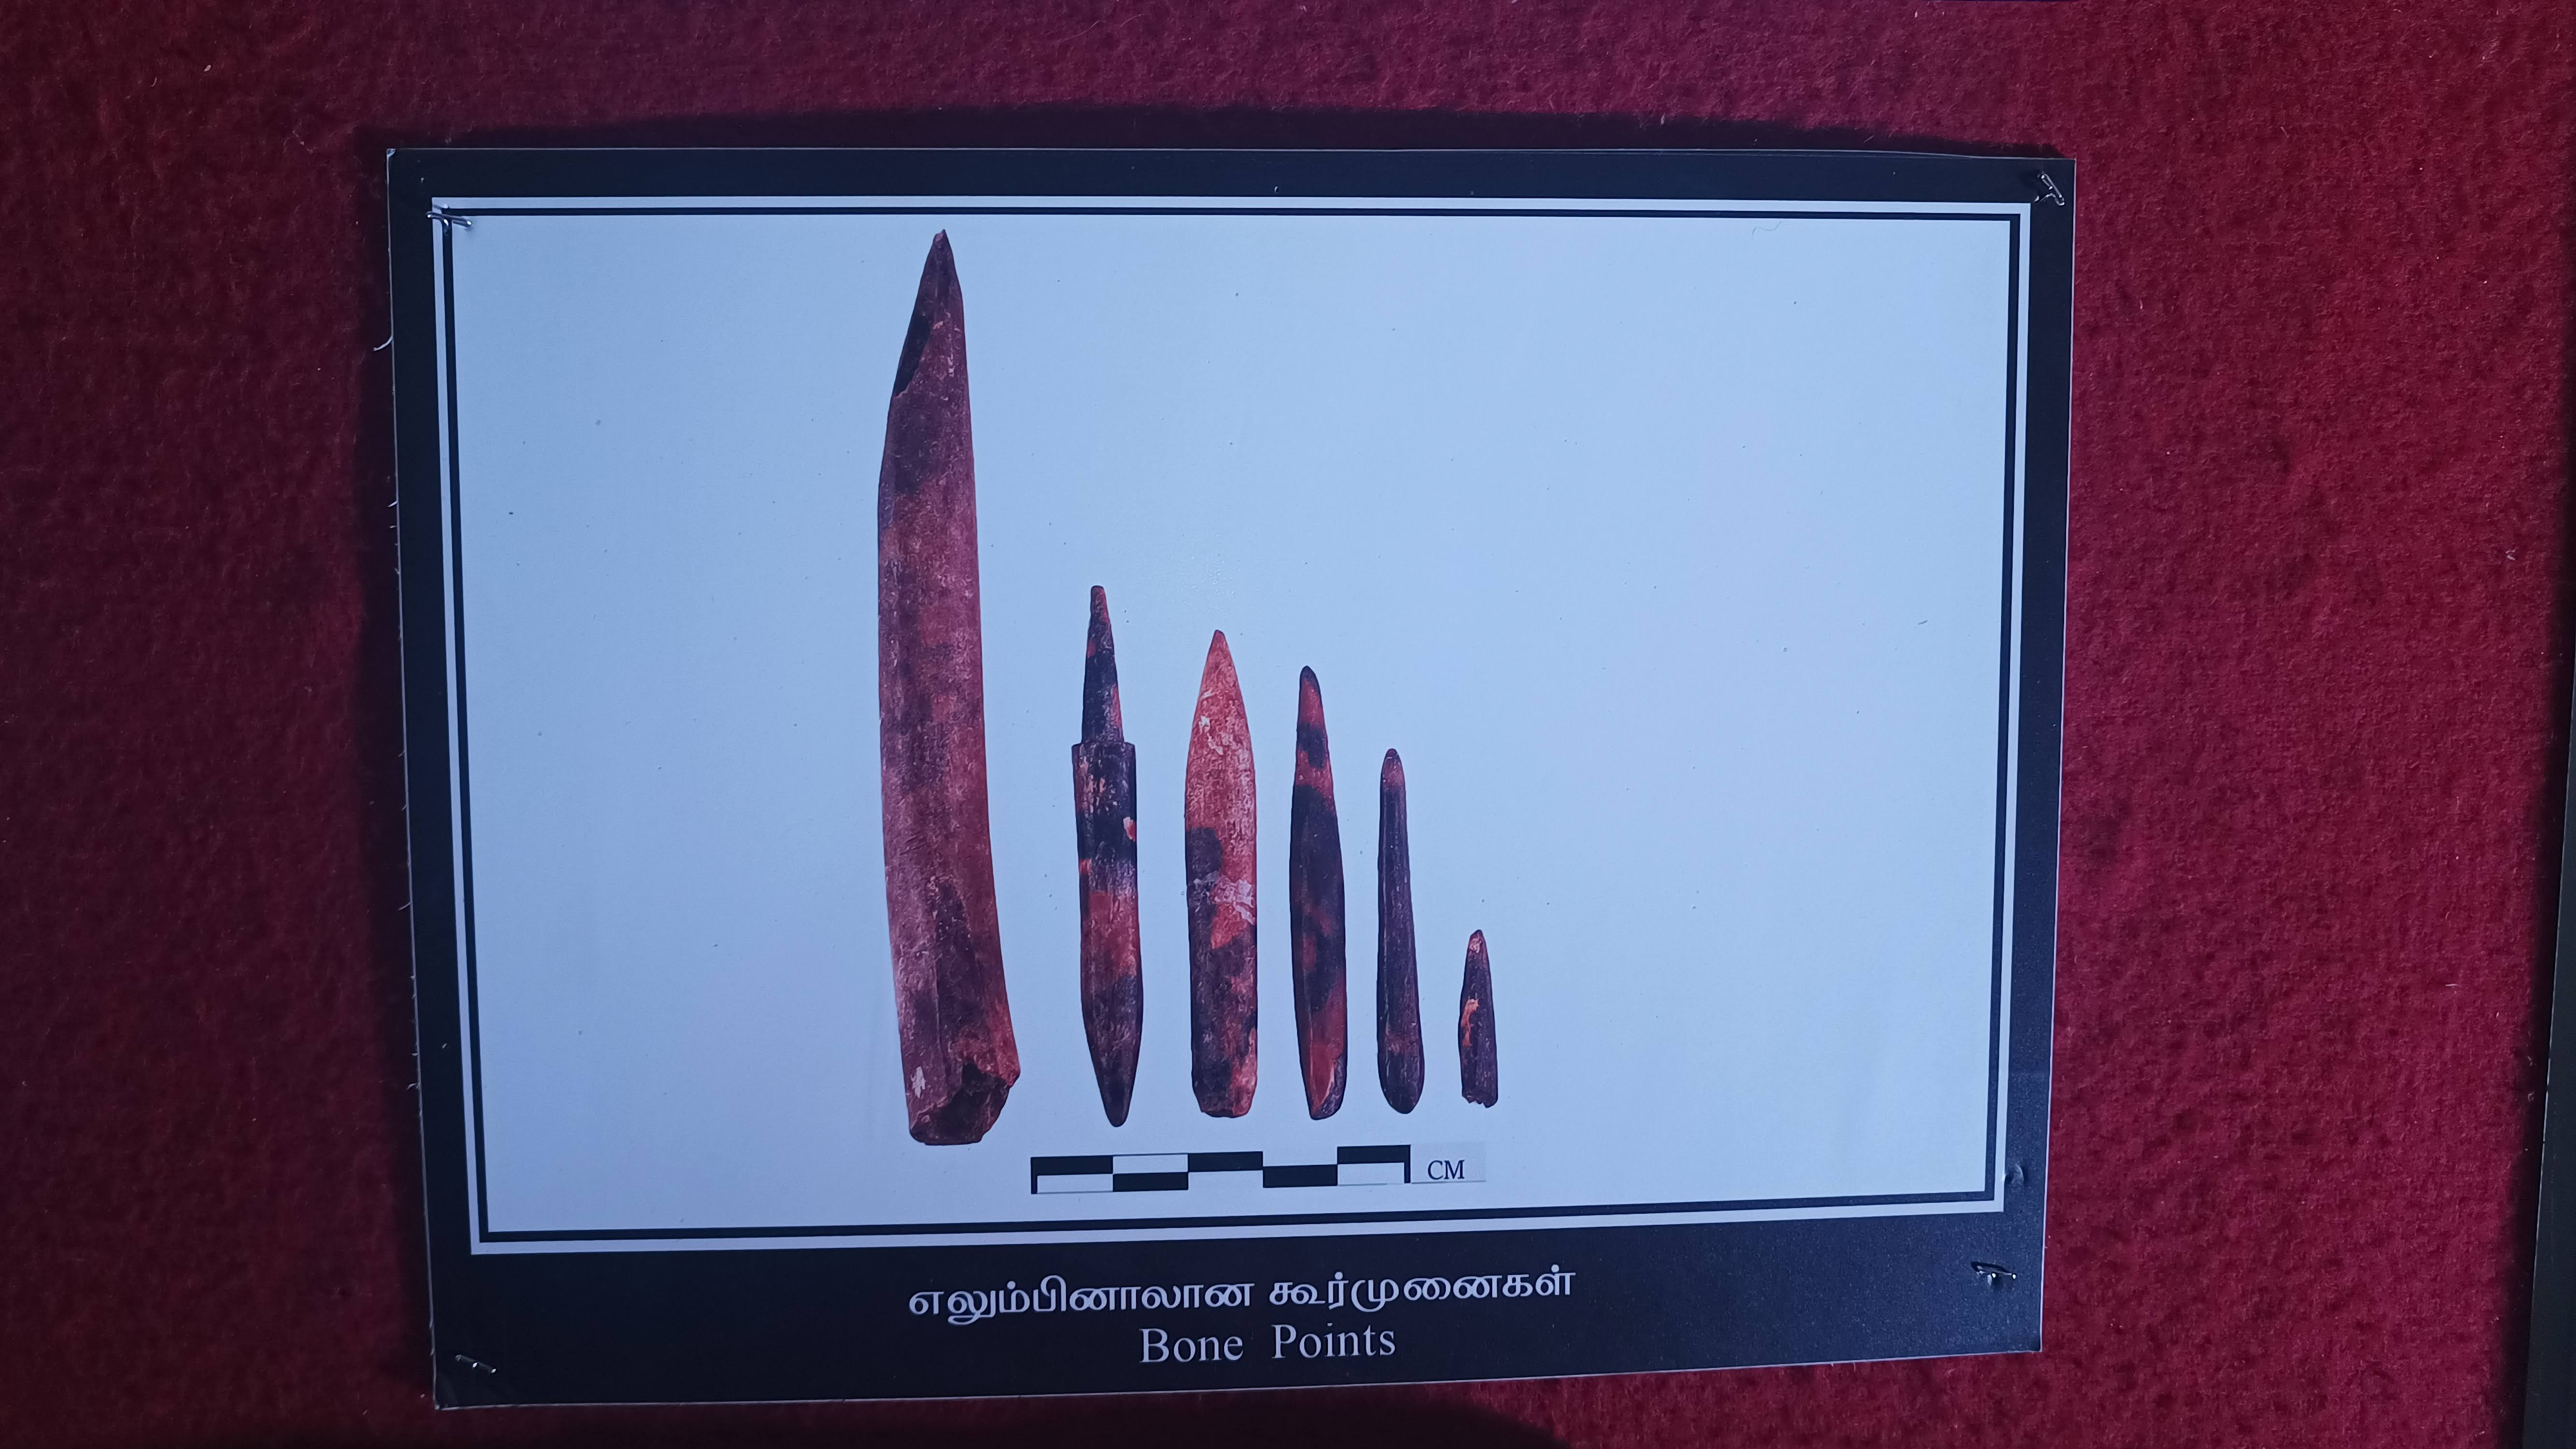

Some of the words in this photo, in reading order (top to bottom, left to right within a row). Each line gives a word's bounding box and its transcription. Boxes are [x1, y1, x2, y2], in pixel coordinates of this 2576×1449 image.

[1418, 1150, 1473, 1193] CM
[906, 1271, 1254, 1329] எலும்பினாலான
[1263, 1257, 1579, 1316] கூர்முனைகள்
[1136, 1325, 1246, 1366] Bone
[1267, 1316, 1399, 1364] Points